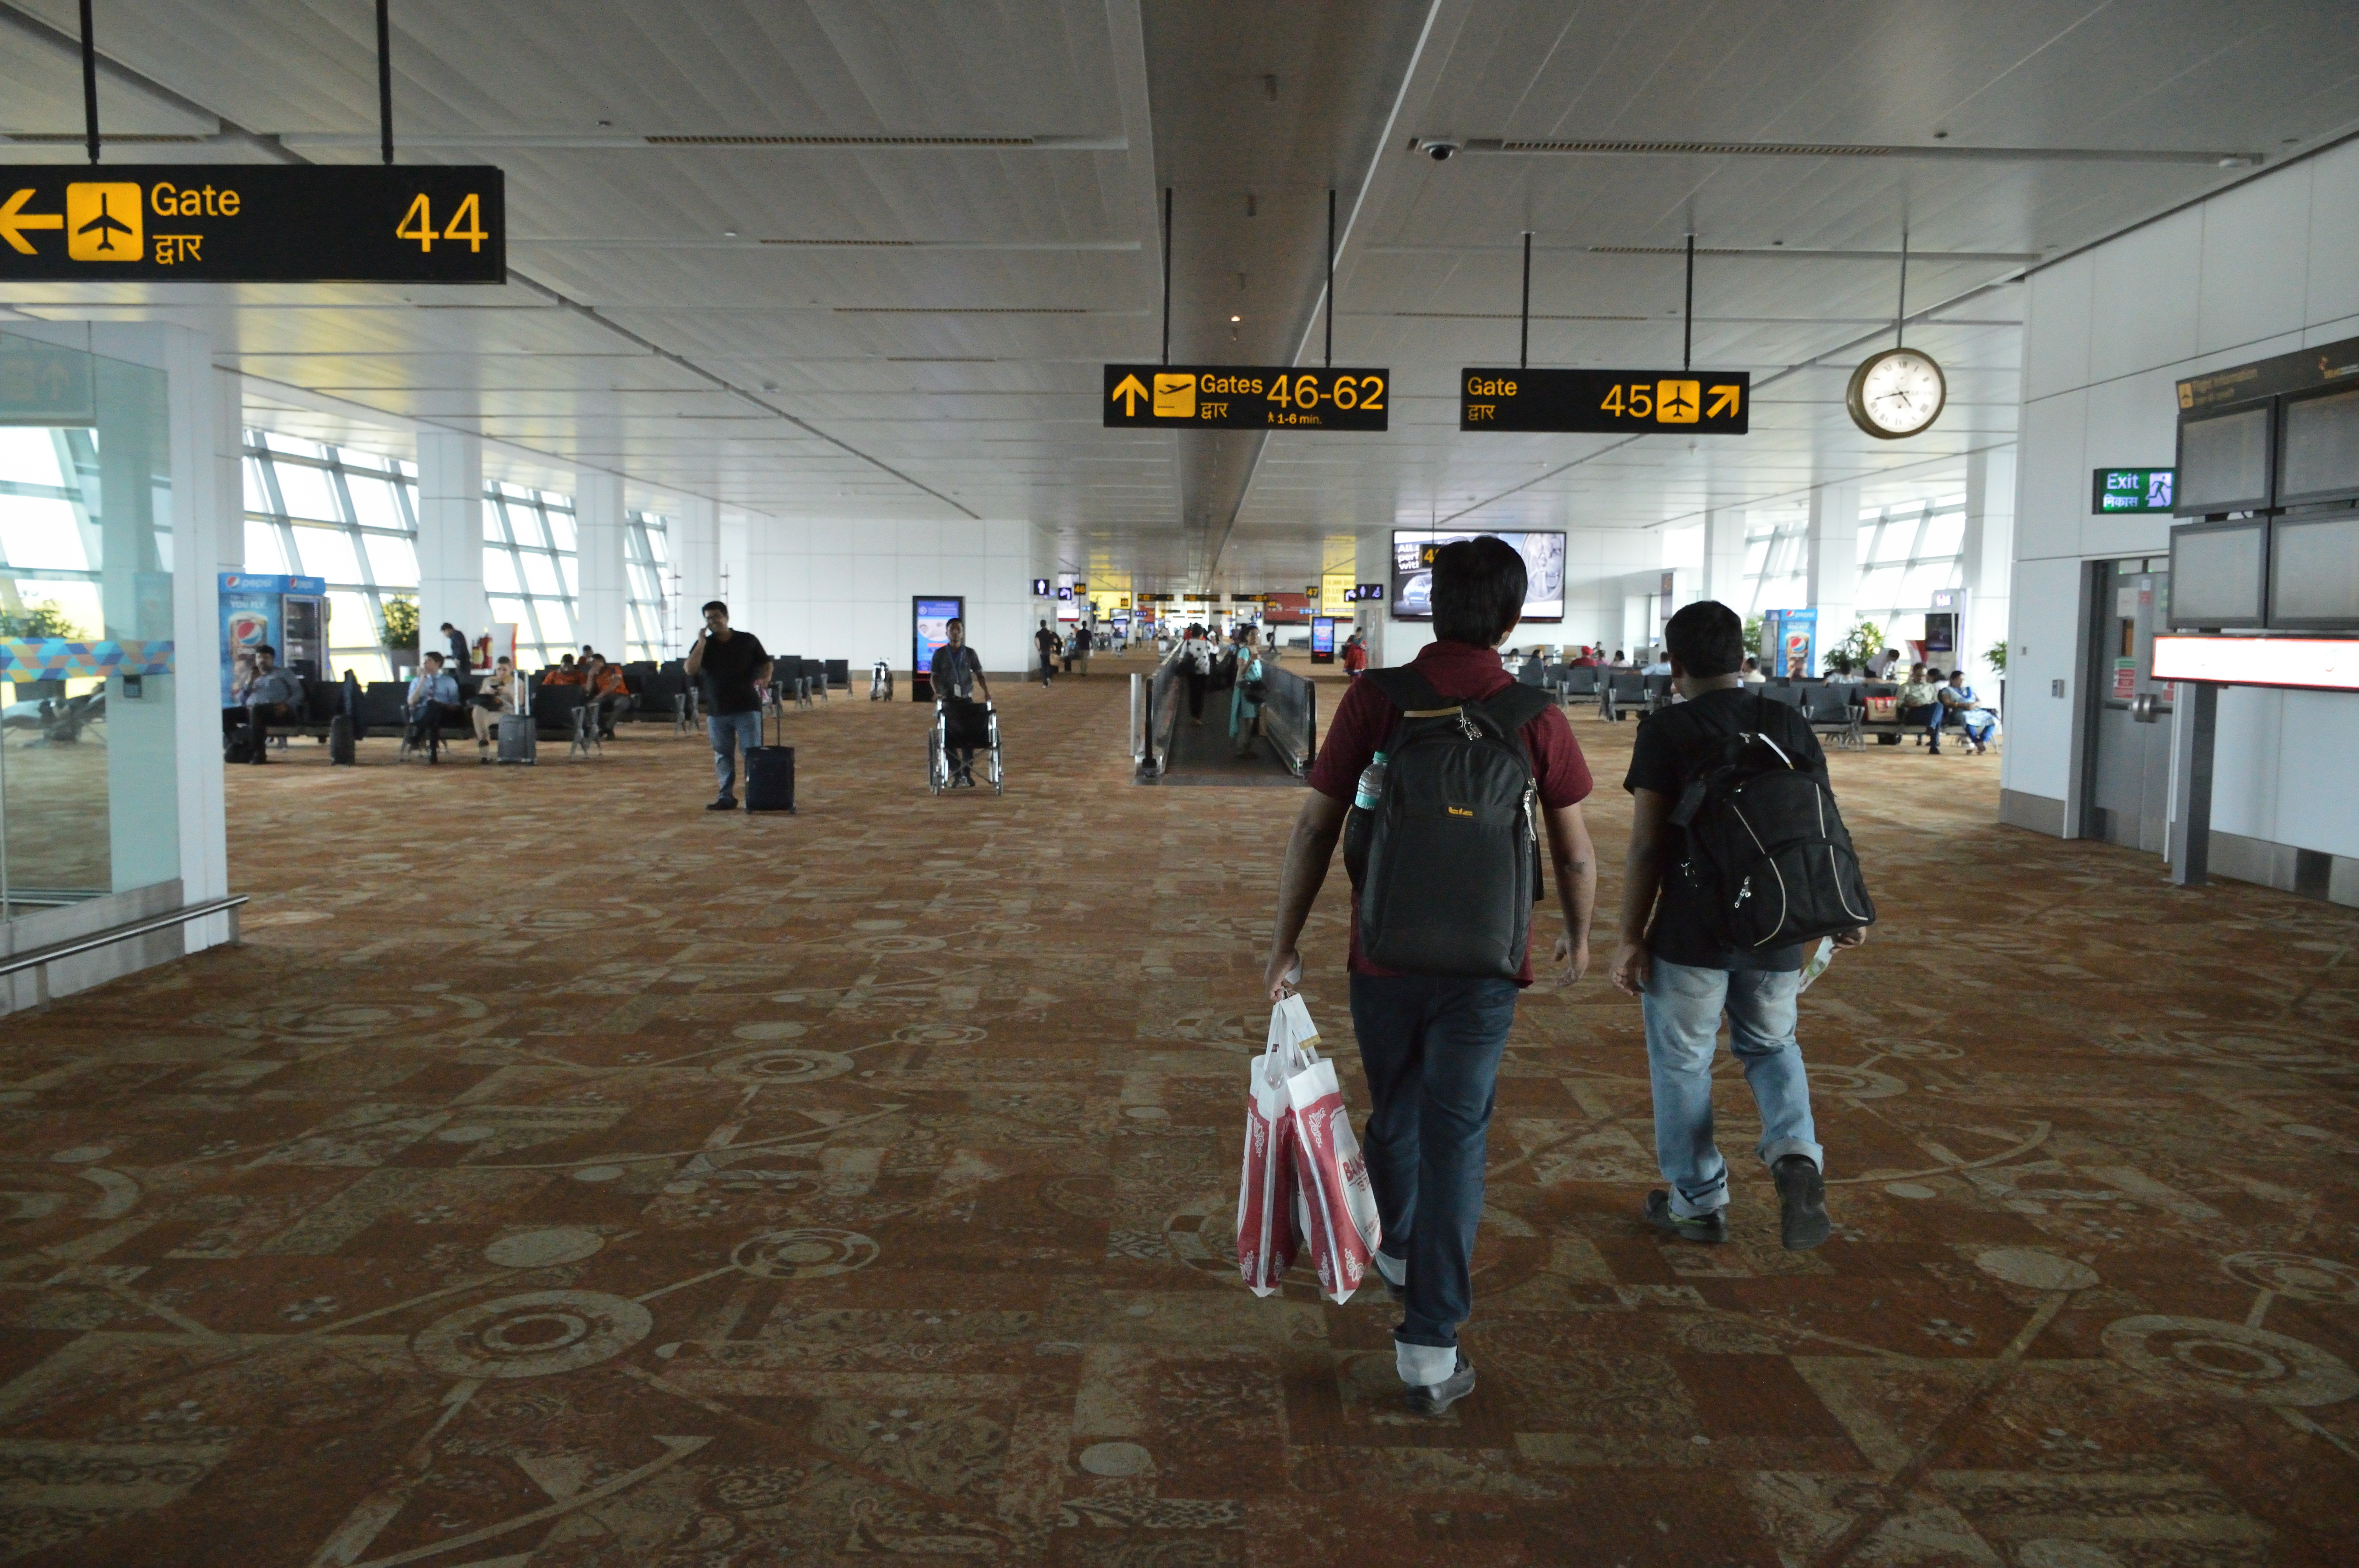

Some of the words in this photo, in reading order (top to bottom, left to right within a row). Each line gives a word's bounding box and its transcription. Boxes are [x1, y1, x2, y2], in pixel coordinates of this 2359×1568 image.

[140, 176, 244, 227] Gate
[392, 181, 499, 260] 44
[147, 230, 209, 266] द्वार
[1199, 401, 1229, 422] द्वार
[1196, 372, 1264, 397] Gates
[1276, 412, 1324, 428] 1-6min.
[1264, 373, 1386, 410] 46-62
[1466, 403, 1496, 424] द्वार
[1465, 375, 1518, 398] Gate
[1597, 382, 1654, 420] 45
[2105, 470, 2142, 491] Exit
[2099, 489, 2140, 508] निकास